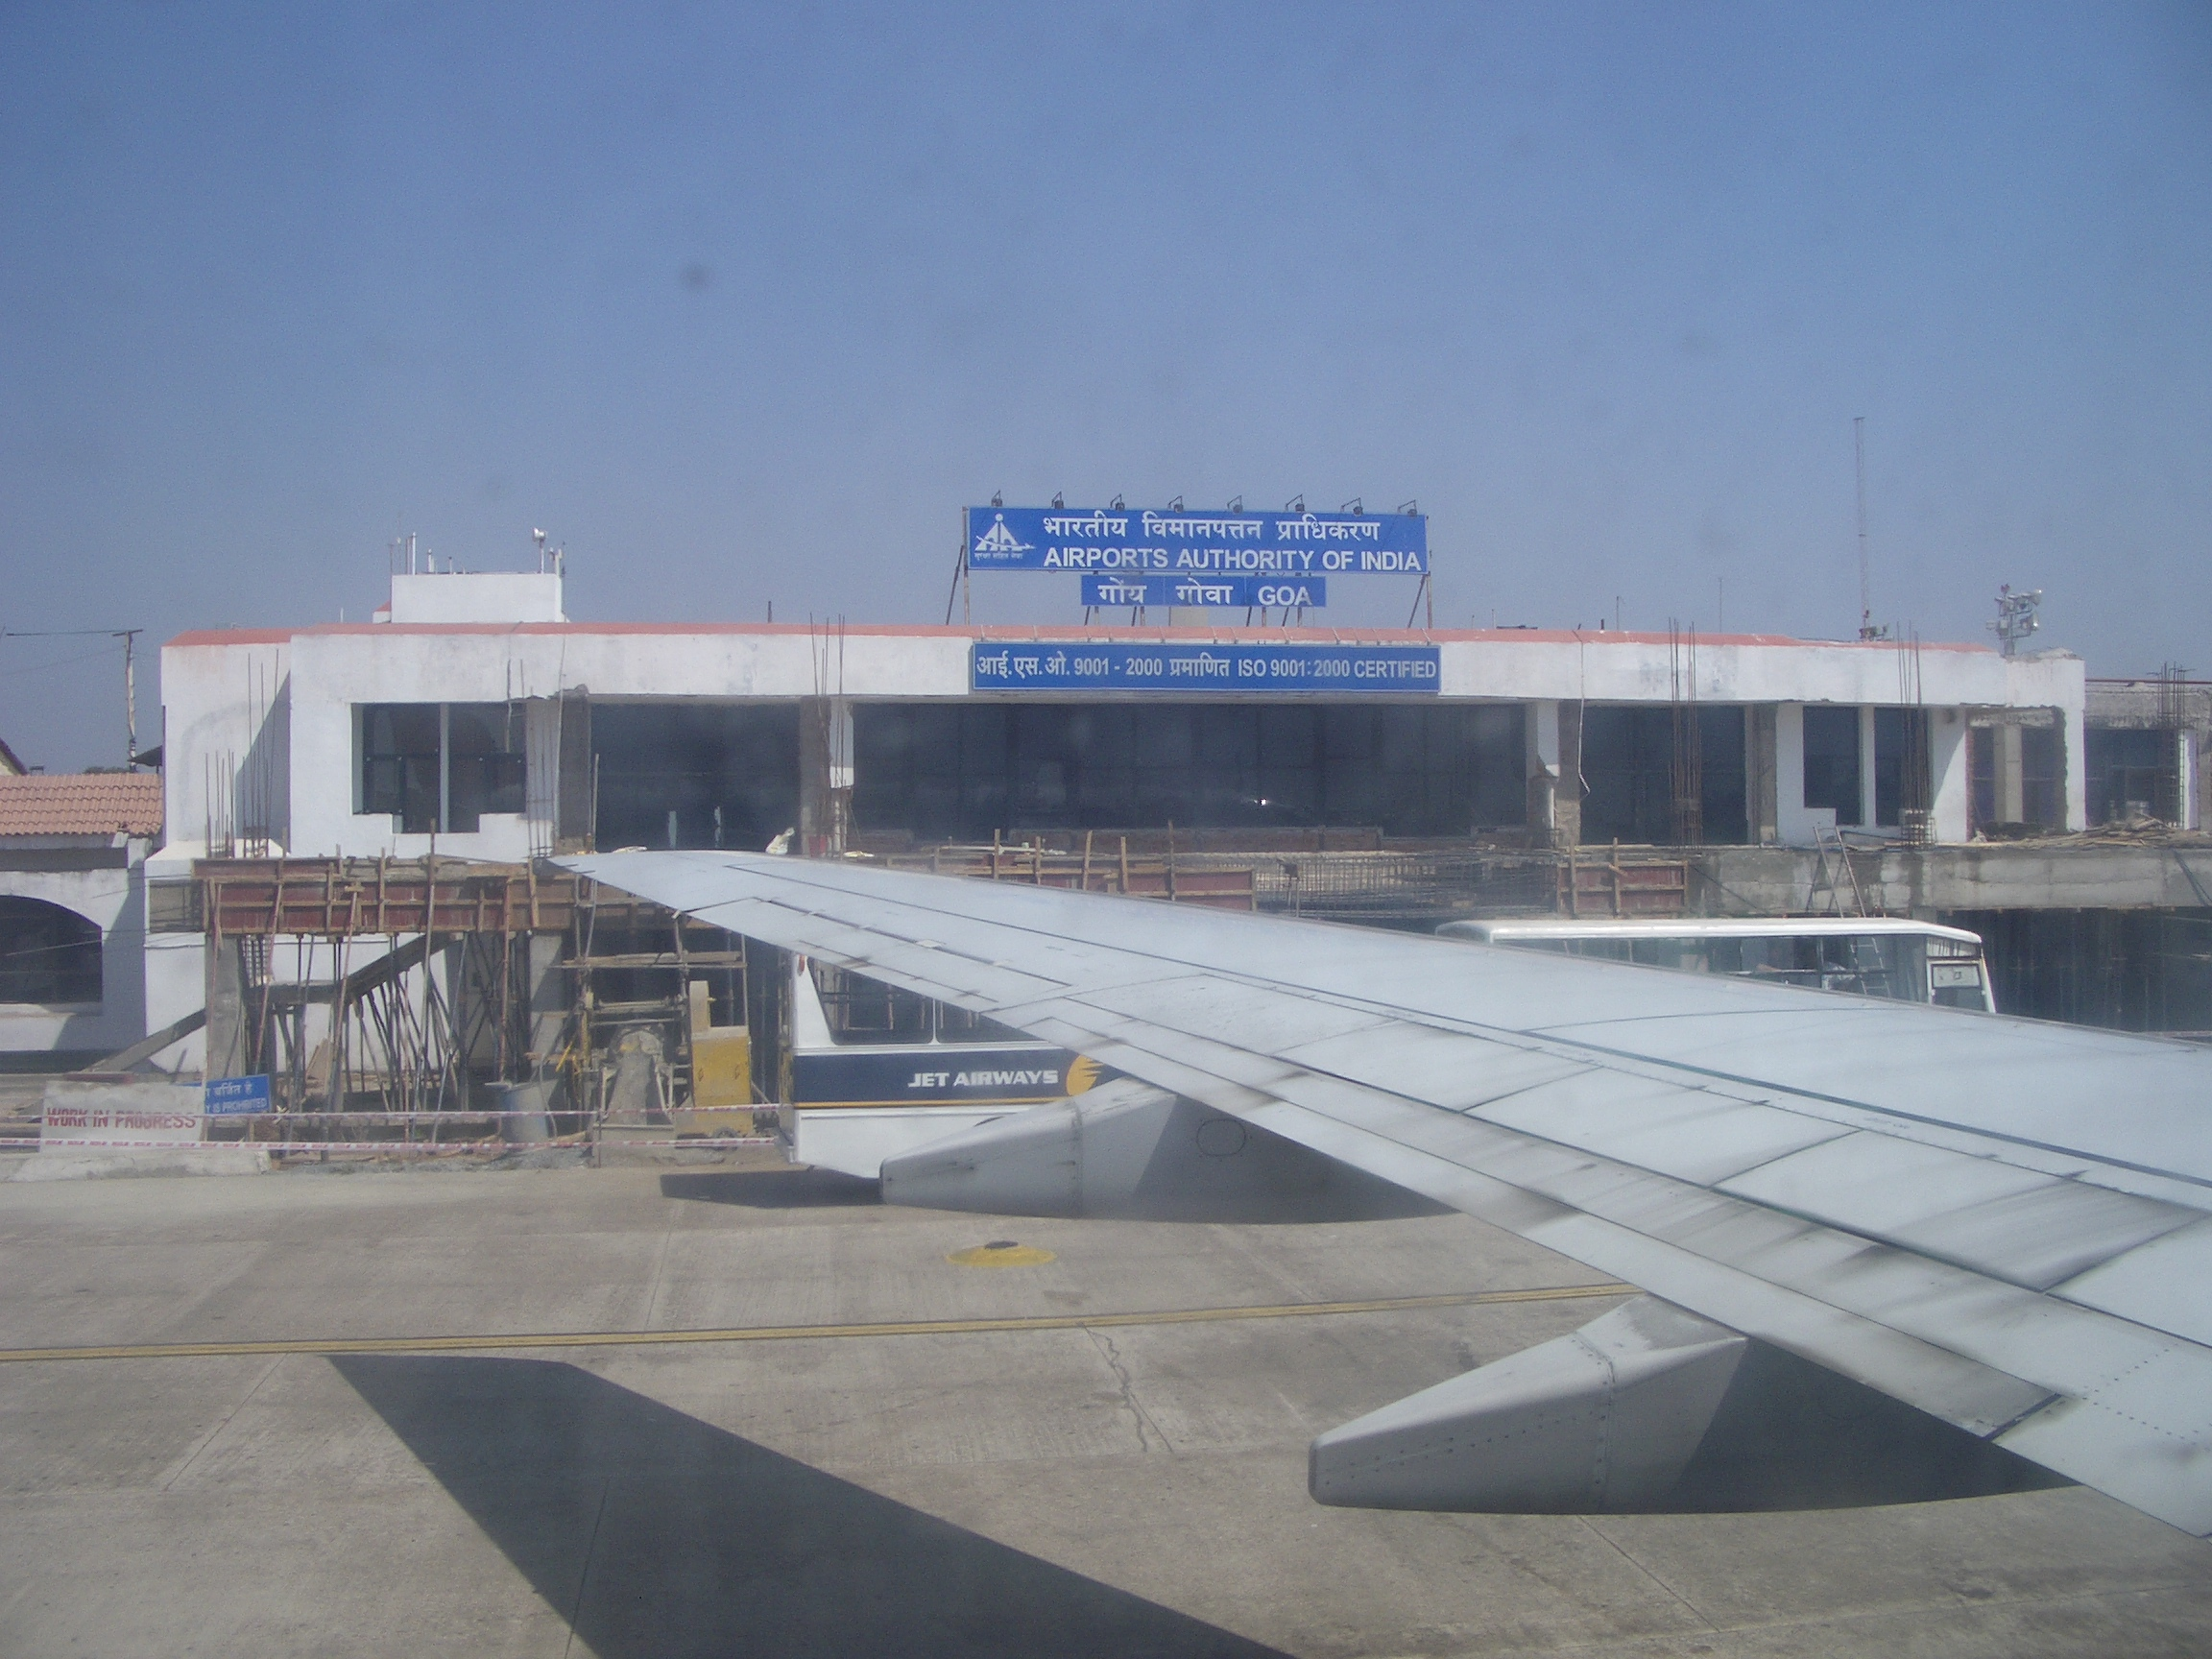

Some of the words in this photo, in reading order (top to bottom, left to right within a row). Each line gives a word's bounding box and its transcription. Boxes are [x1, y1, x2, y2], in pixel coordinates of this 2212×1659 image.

[1038, 505, 1131, 541] भारतीय
[1135, 506, 1267, 542] विमानपत्तन
[1272, 508, 1383, 543] प्राधिकरण
[1040, 540, 1172, 570] AIRPORTS
[1174, 543, 1318, 574] AUTHORITY
[1315, 545, 1357, 574] OF
[1357, 544, 1425, 573] INDIA
[1094, 571, 1151, 609] गोंय
[1170, 572, 1236, 608] गोवा
[1254, 577, 1315, 612] GOA
[974, 645, 1073, 683] आई॰एस॰ओ॰
[1071, 652, 1113, 680] 9001
[1122, 652, 1166, 681] 2000
[1168, 646, 1234, 680] प्रमाणित
[1235, 652, 1270, 683] ISO
[1267, 656, 1357, 682] 9001:2000
[1353, 654, 1441, 684] CERTIFIED
[902, 1069, 952, 1092] JET
[950, 1066, 1063, 1089] AIRWAYS